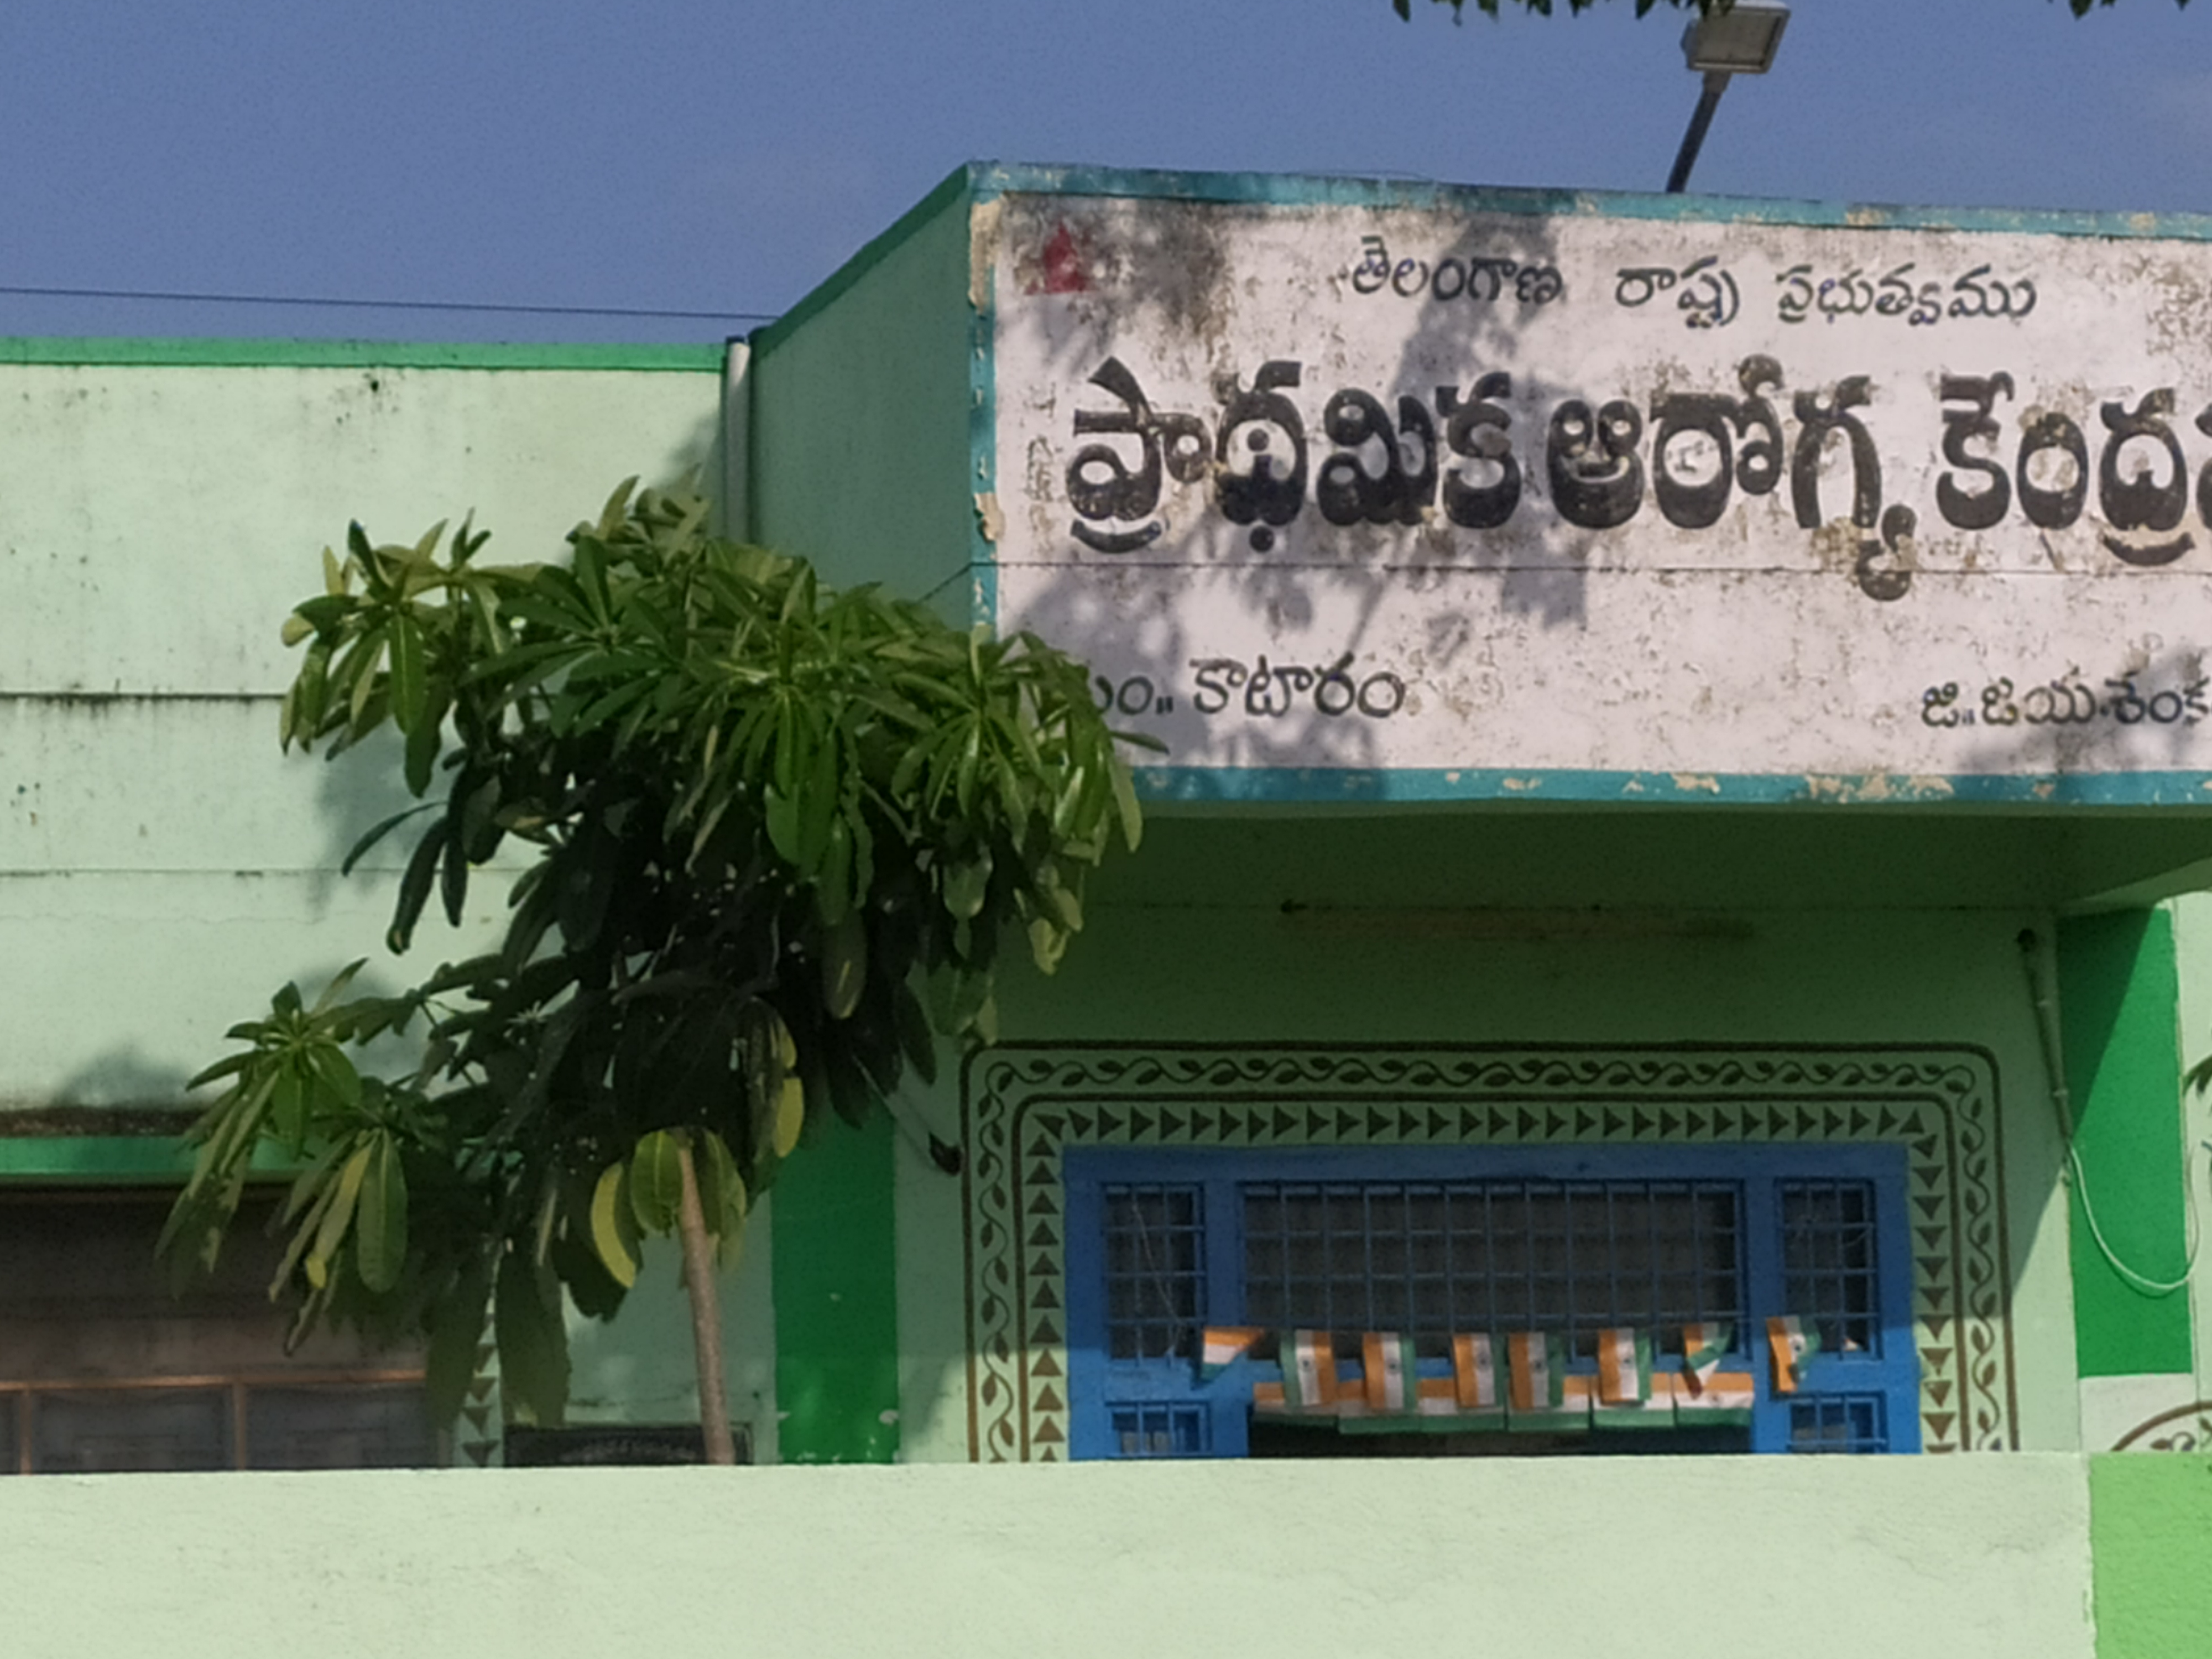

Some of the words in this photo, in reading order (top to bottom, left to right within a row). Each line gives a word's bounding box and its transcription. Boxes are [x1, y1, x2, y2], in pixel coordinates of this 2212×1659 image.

[1339, 222, 1568, 314] తెలంగాణ
[1607, 247, 1747, 338] రాష్ట్ర
[1771, 252, 2049, 332] ప్రభుత్వము
[1063, 336, 1929, 610] ప్రాథమిక ఆరోగ్య
[1932, 355, 2203, 567] కంద్ర
[1184, 643, 1413, 727] కాటారం
[1903, 655, 2207, 729] జి. జయశంక